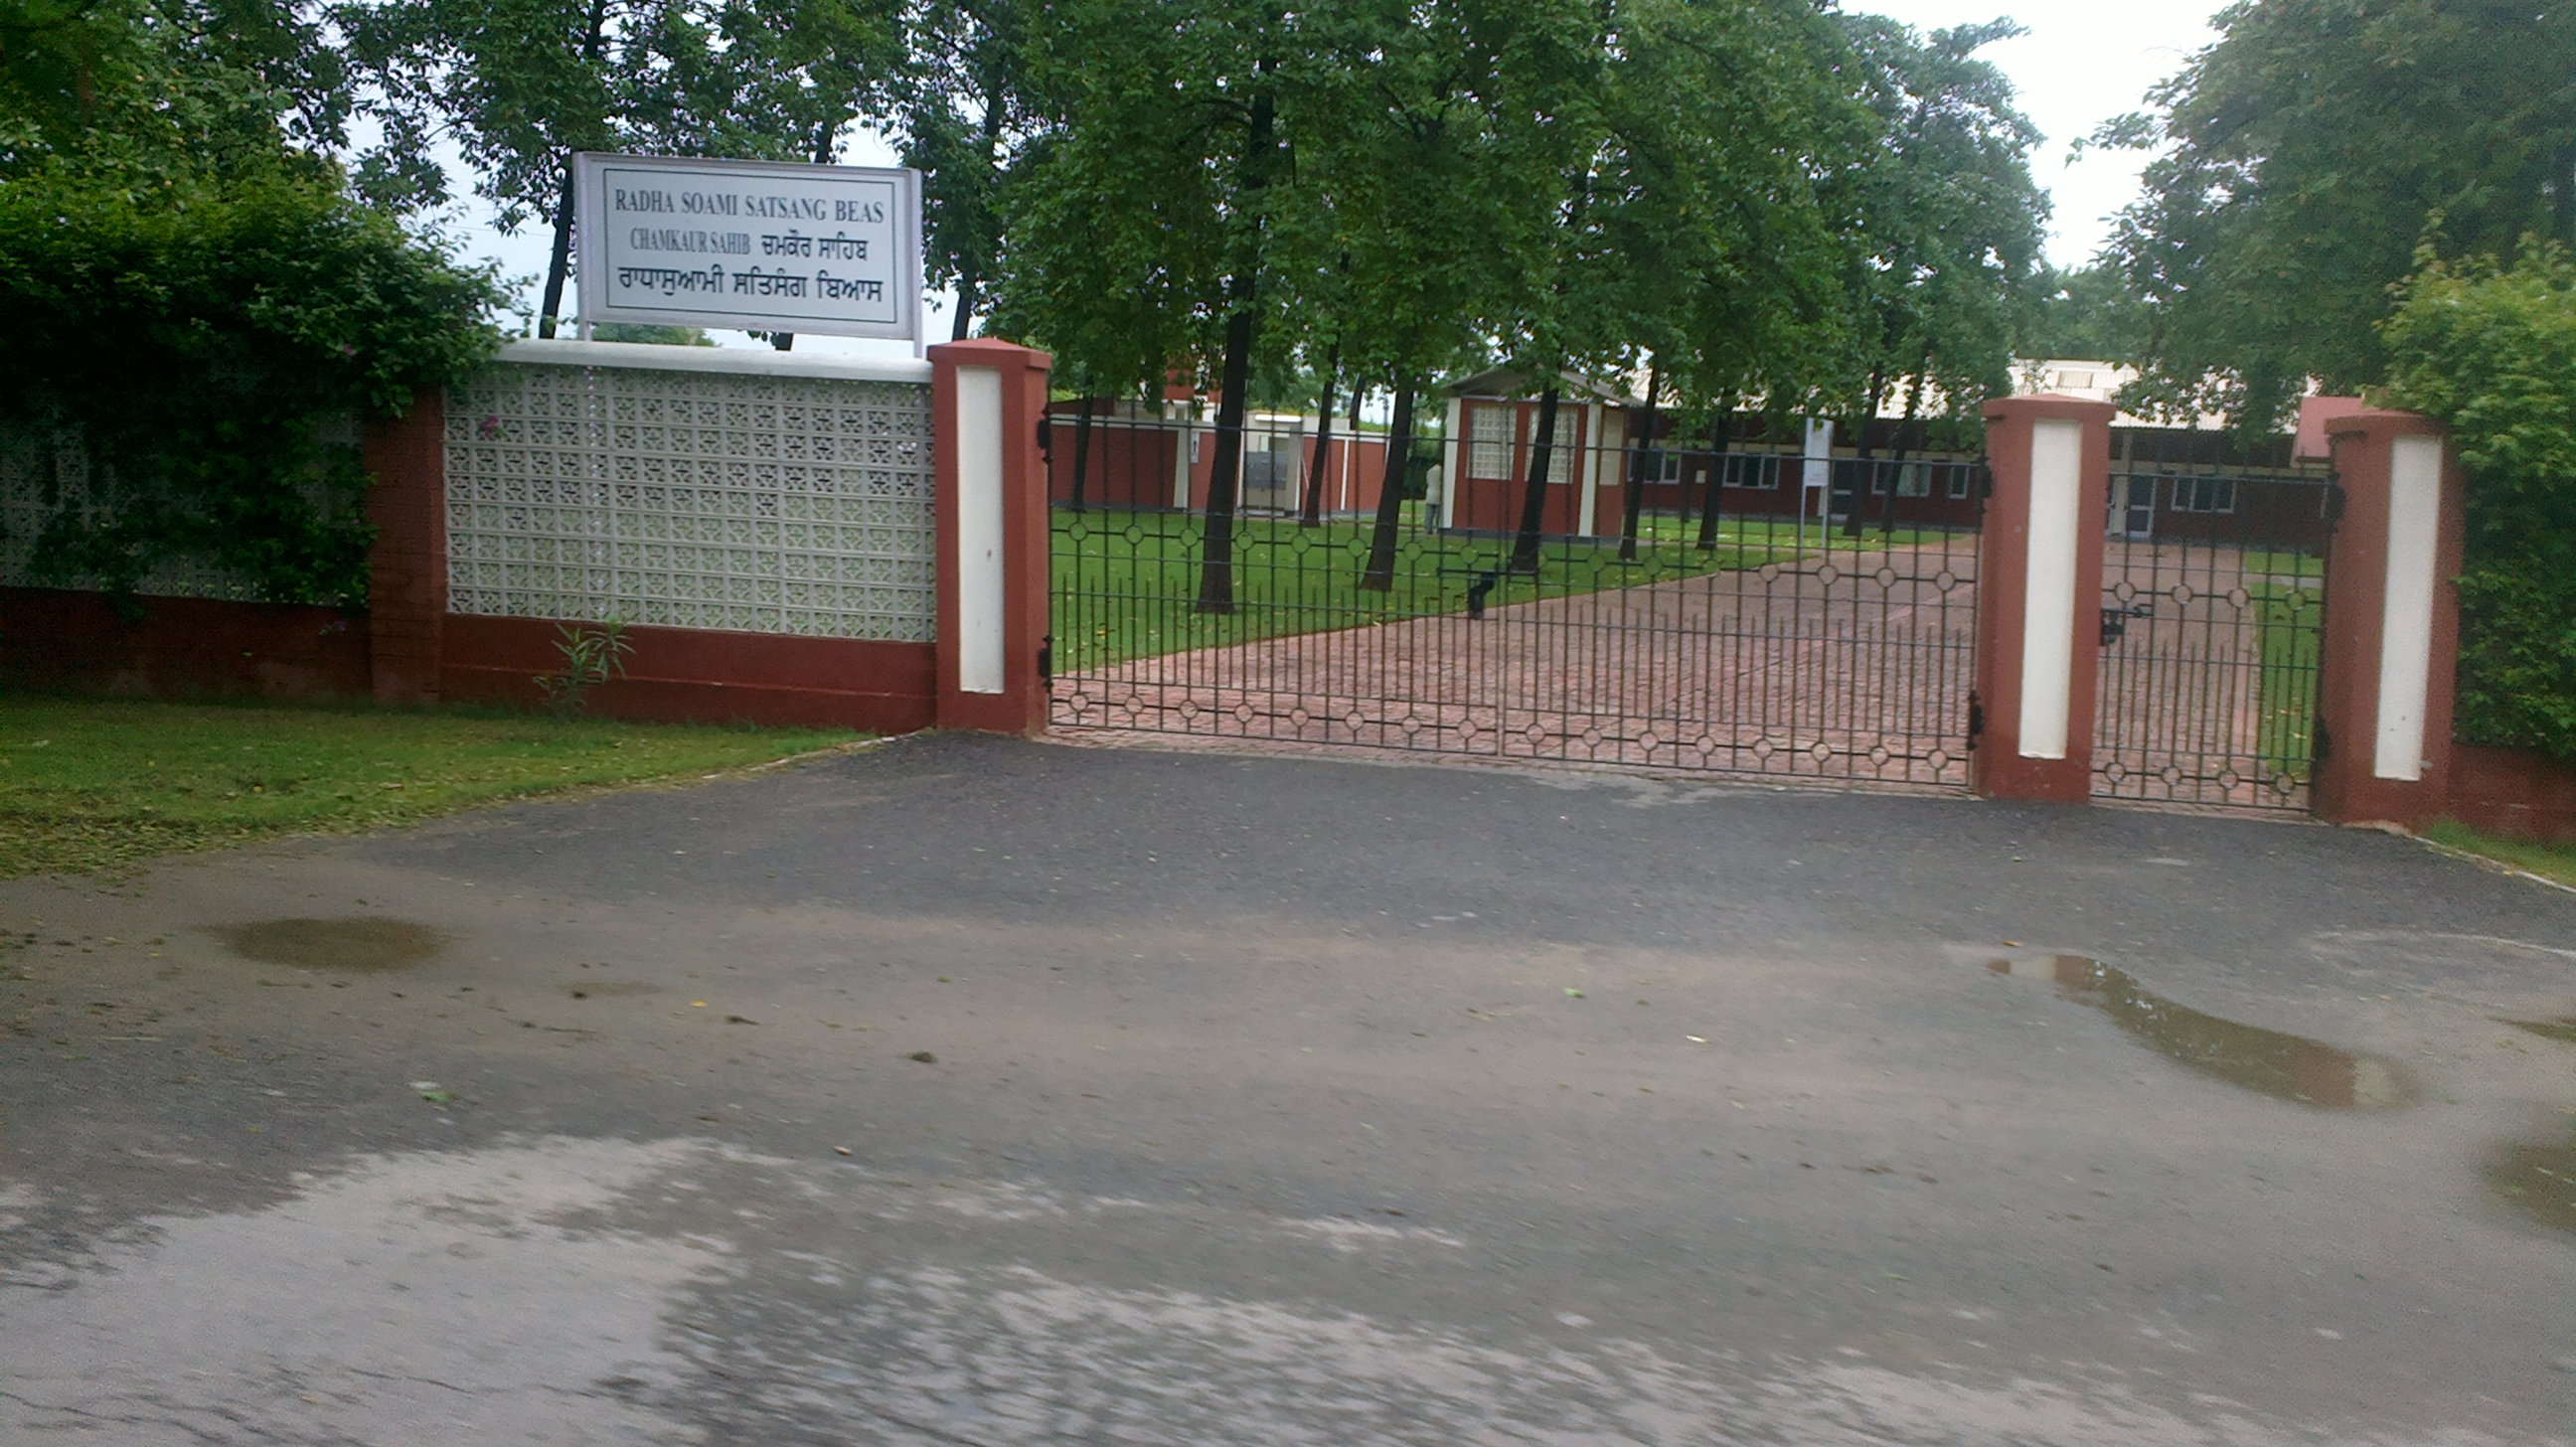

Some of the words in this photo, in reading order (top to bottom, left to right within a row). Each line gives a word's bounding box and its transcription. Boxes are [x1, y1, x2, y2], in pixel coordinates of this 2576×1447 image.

[611, 184, 679, 216] RADHA
[677, 184, 741, 221] SOAMI
[741, 190, 833, 225] SATSANG
[831, 193, 891, 231] BEAS
[626, 224, 711, 256] 0143841
[709, 228, 757, 257] SAHIB
[756, 226, 818, 262] ਚਮਕੌਰ
[814, 231, 876, 266] ਸਾਹਿਬ
[607, 257, 730, 299] ਰਾਧਾਸੁਆਮੀ
[728, 260, 811, 302] ਸਤਿਸੰਗ
[811, 266, 889, 308] ਬਿਆਸ